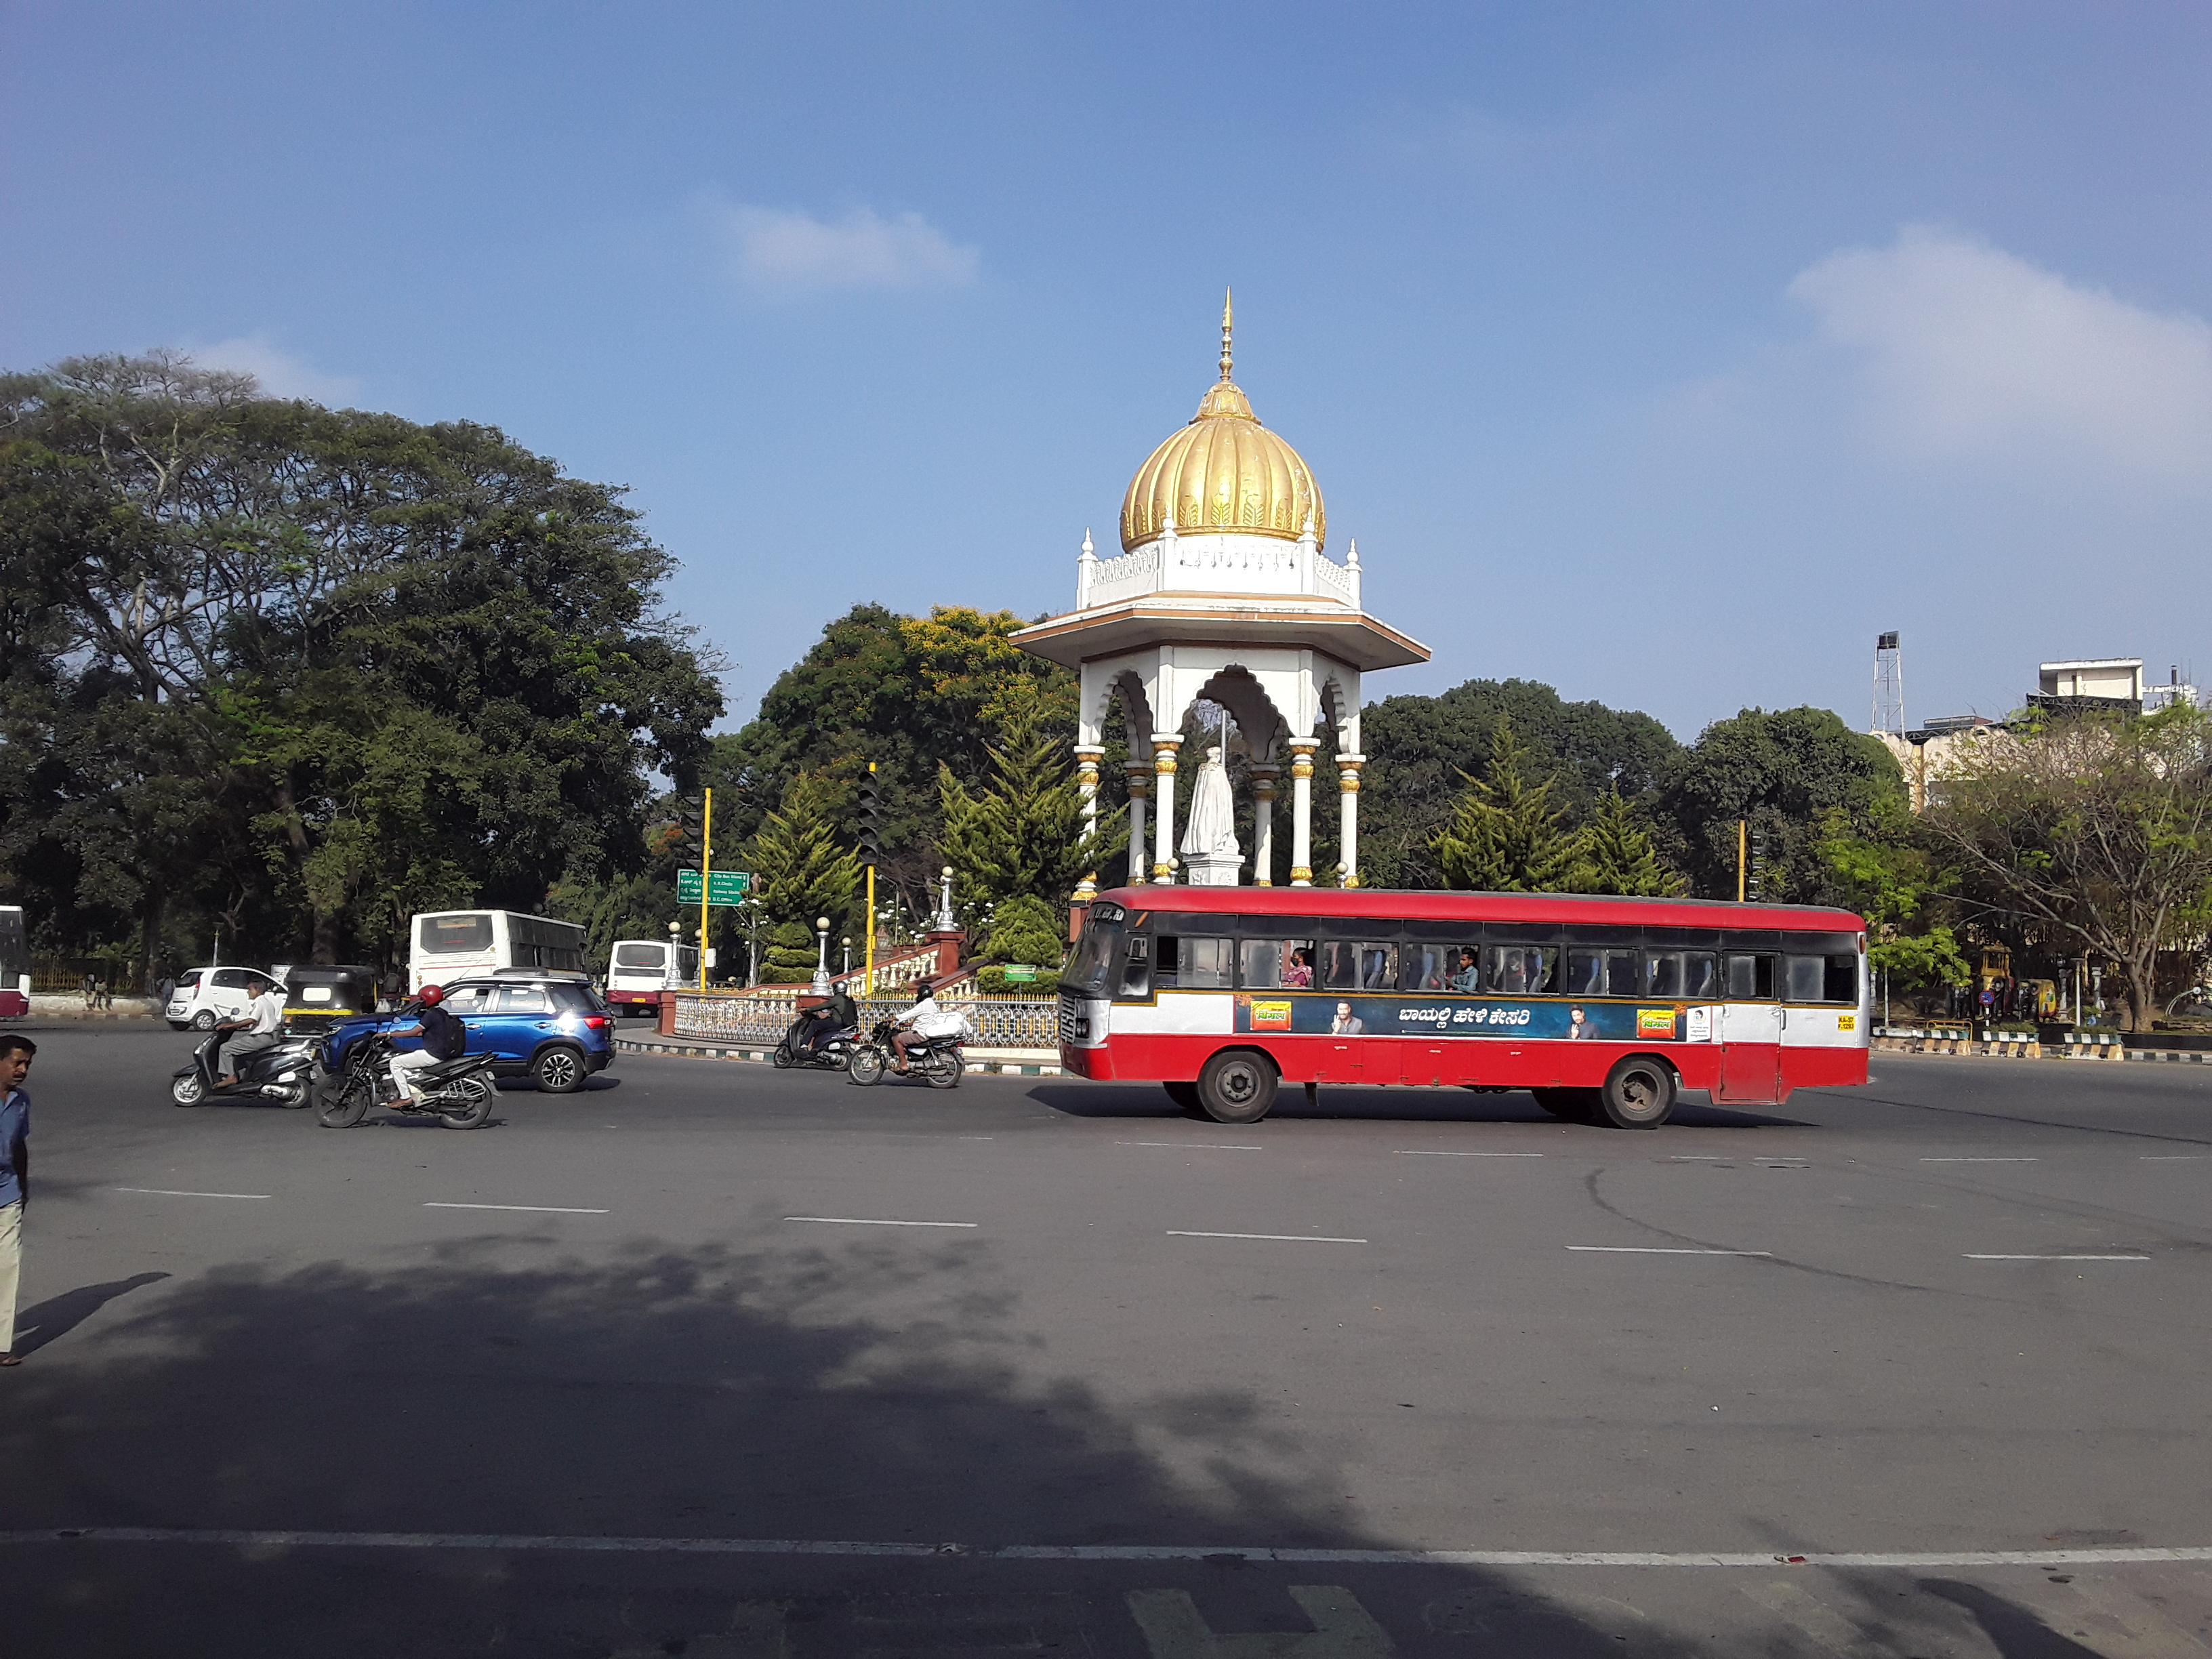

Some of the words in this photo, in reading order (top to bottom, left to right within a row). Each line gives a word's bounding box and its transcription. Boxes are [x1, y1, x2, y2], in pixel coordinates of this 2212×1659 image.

[1254, 1009, 1288, 1021] विमल
[1395, 1004, 1456, 1031] ಬಾಯಲ್ಲಿ
[1450, 1002, 1490, 1027] ಹೇಳ
[1486, 1001, 1534, 1028] ಕೇಸರಿ
[1637, 1013, 1671, 1029] विमल